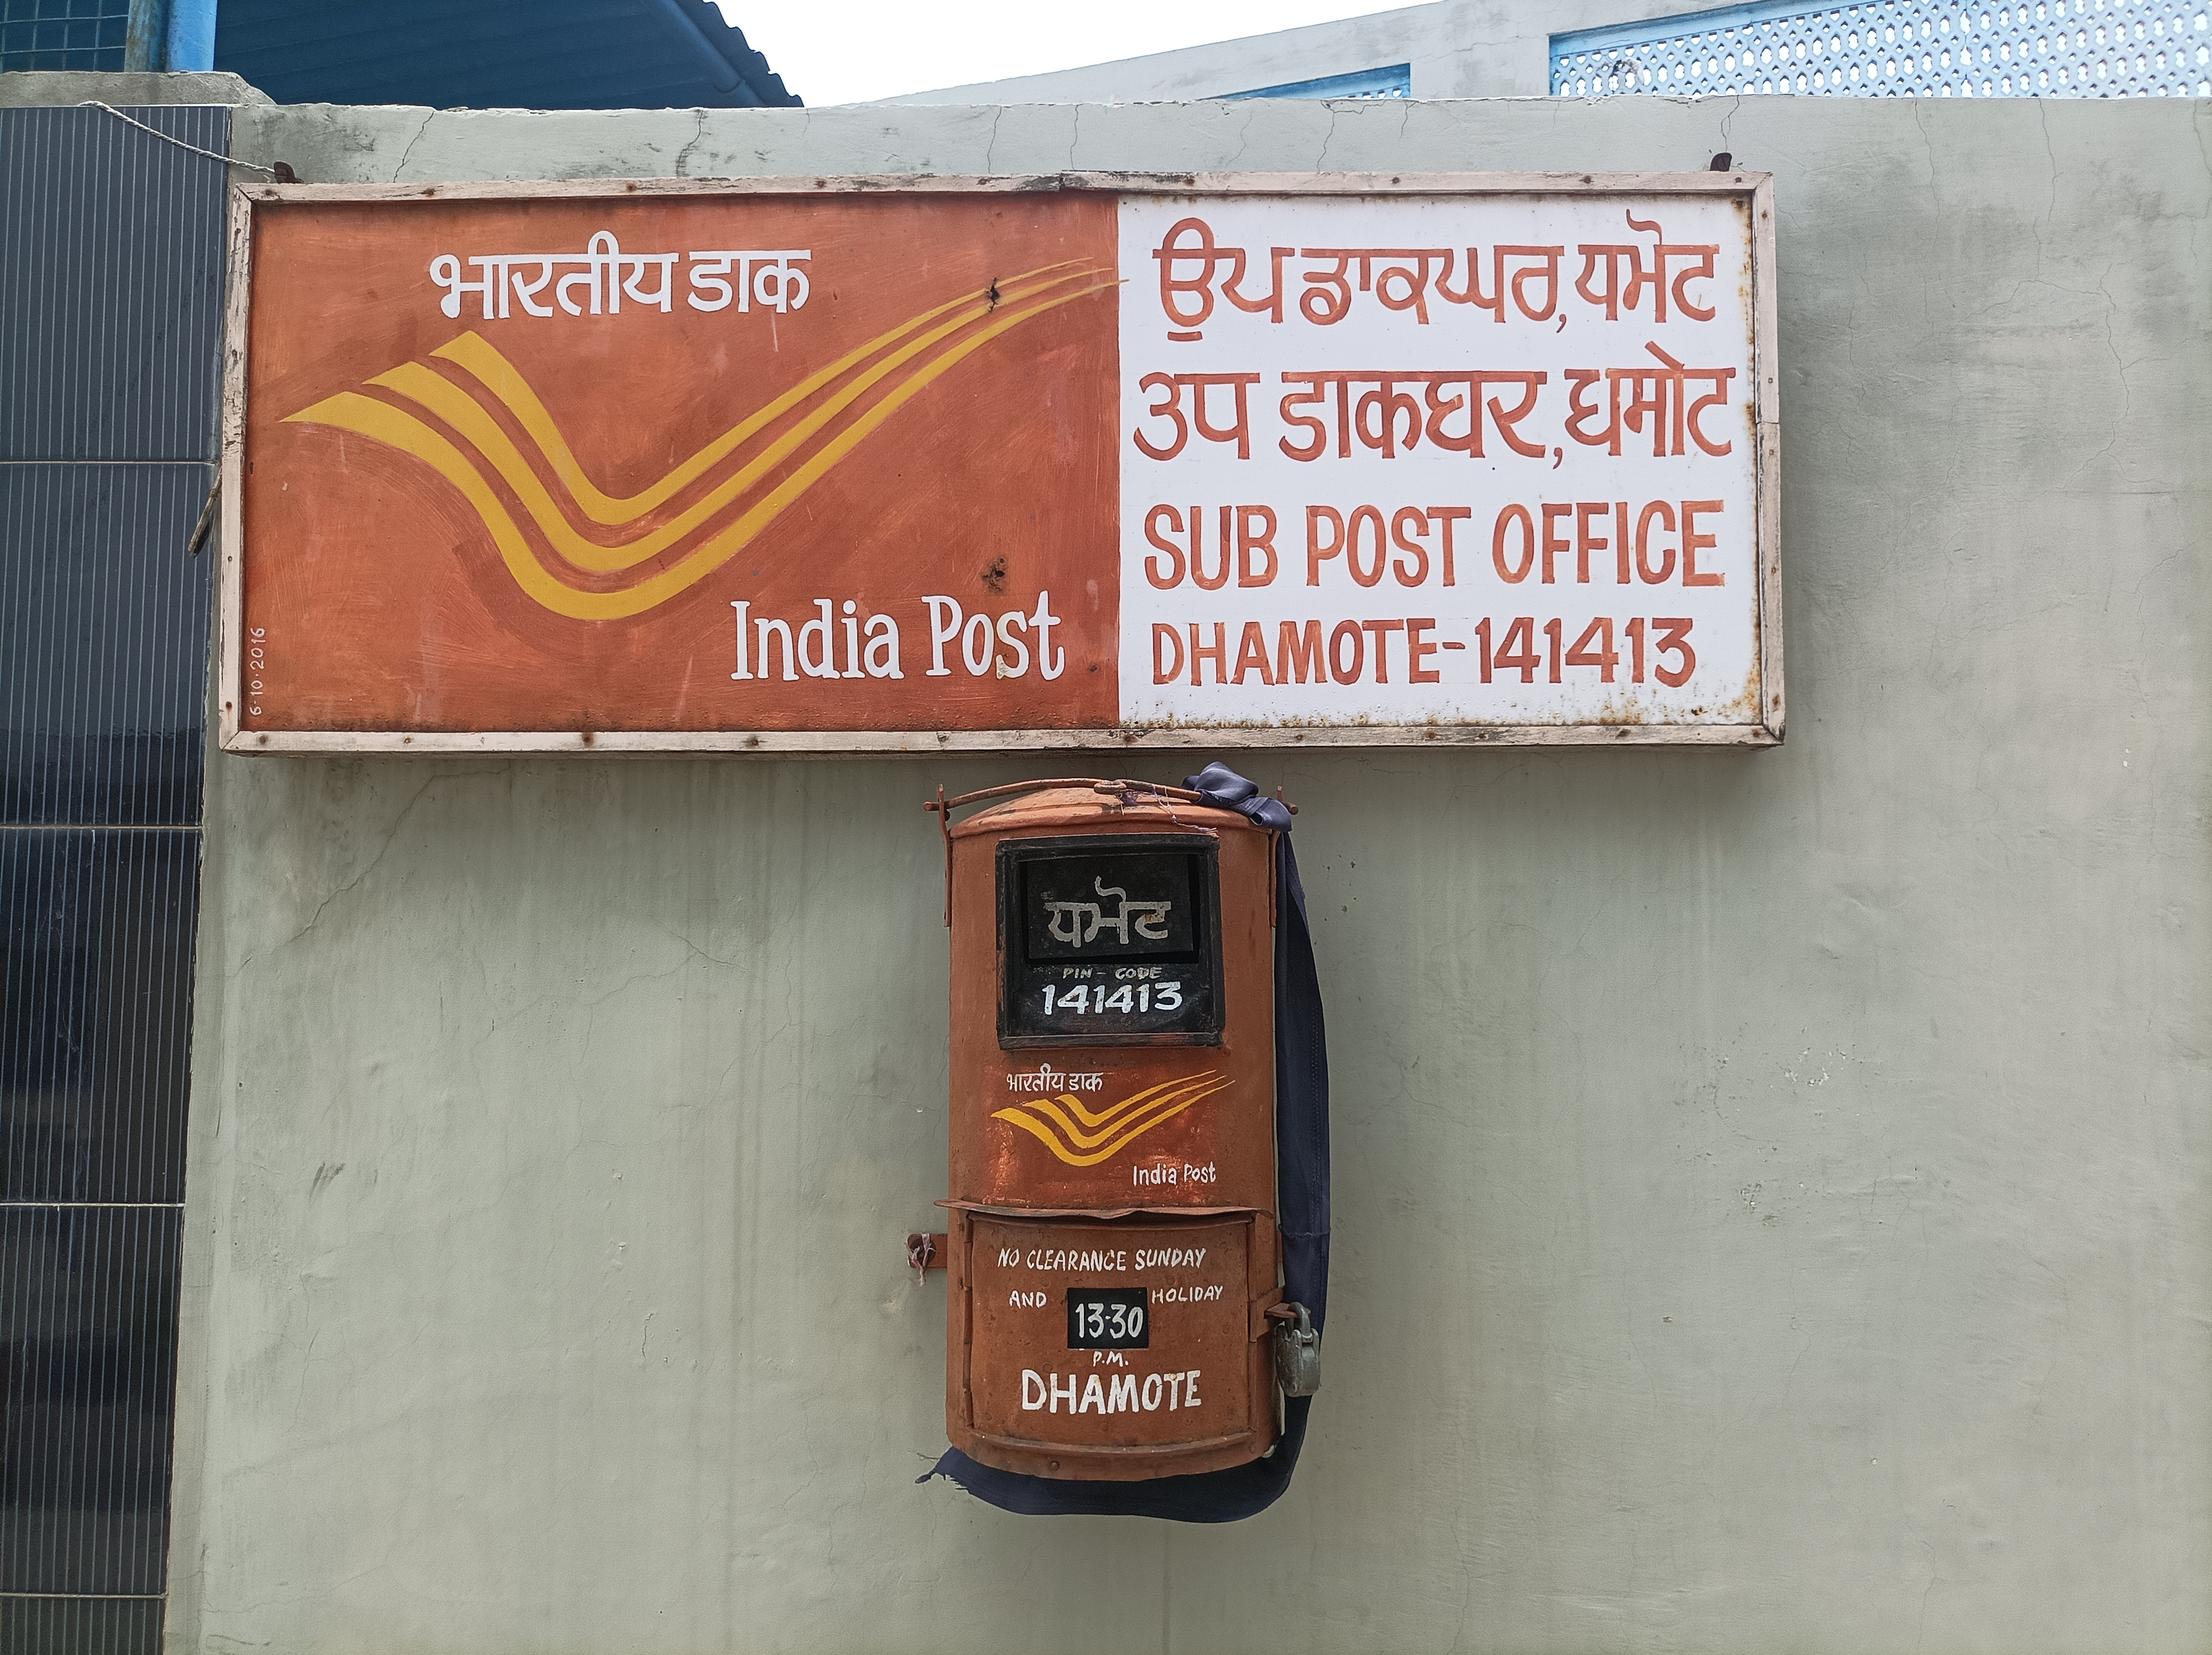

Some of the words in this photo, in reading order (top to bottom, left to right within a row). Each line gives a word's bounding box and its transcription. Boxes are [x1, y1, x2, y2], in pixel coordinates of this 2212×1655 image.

[420, 225, 684, 330] भारतीय
[680, 233, 818, 318] डाक
[1138, 212, 1296, 354] ਉਪ
[1291, 237, 1568, 337] ਡਾਕਘਰ
[1569, 206, 1728, 336] ਧਮੋਟ
[1124, 362, 1266, 472] उप
[1266, 365, 1552, 478] डाकघर
[1554, 336, 1744, 470] द्यमॊट
[1135, 492, 1285, 598] SUB
[1291, 490, 1480, 598] POST
[1488, 485, 1745, 596] OFFICE
[721, 591, 913, 689] India
[914, 585, 1077, 688] Post
[1143, 611, 1448, 688] DHAMOTE
[1469, 607, 1699, 688] 141413
[1037, 871, 1185, 954] ਧਮੋਟ
[1059, 964, 1097, 983] PIN
[1035, 979, 1187, 1019] 141413
[1112, 964, 1168, 982] CODE
[1001, 1059, 1068, 1095] भारतीय
[1065, 1063, 1109, 1094] डाक
[1126, 1157, 1181, 1193] India
[1179, 1154, 1221, 1189] post
[990, 1240, 1023, 1273] NO
[997, 1279, 1055, 1318] AND
[1022, 1244, 1135, 1277] CLEARANCE
[1071, 1294, 1151, 1345] 13-30
[1130, 1243, 1213, 1275] SUNDAY
[1148, 1281, 1226, 1308] HOLIDAY
[1013, 1364, 1206, 1419] DHAMOTE
[1089, 1347, 1134, 1371] P.M.